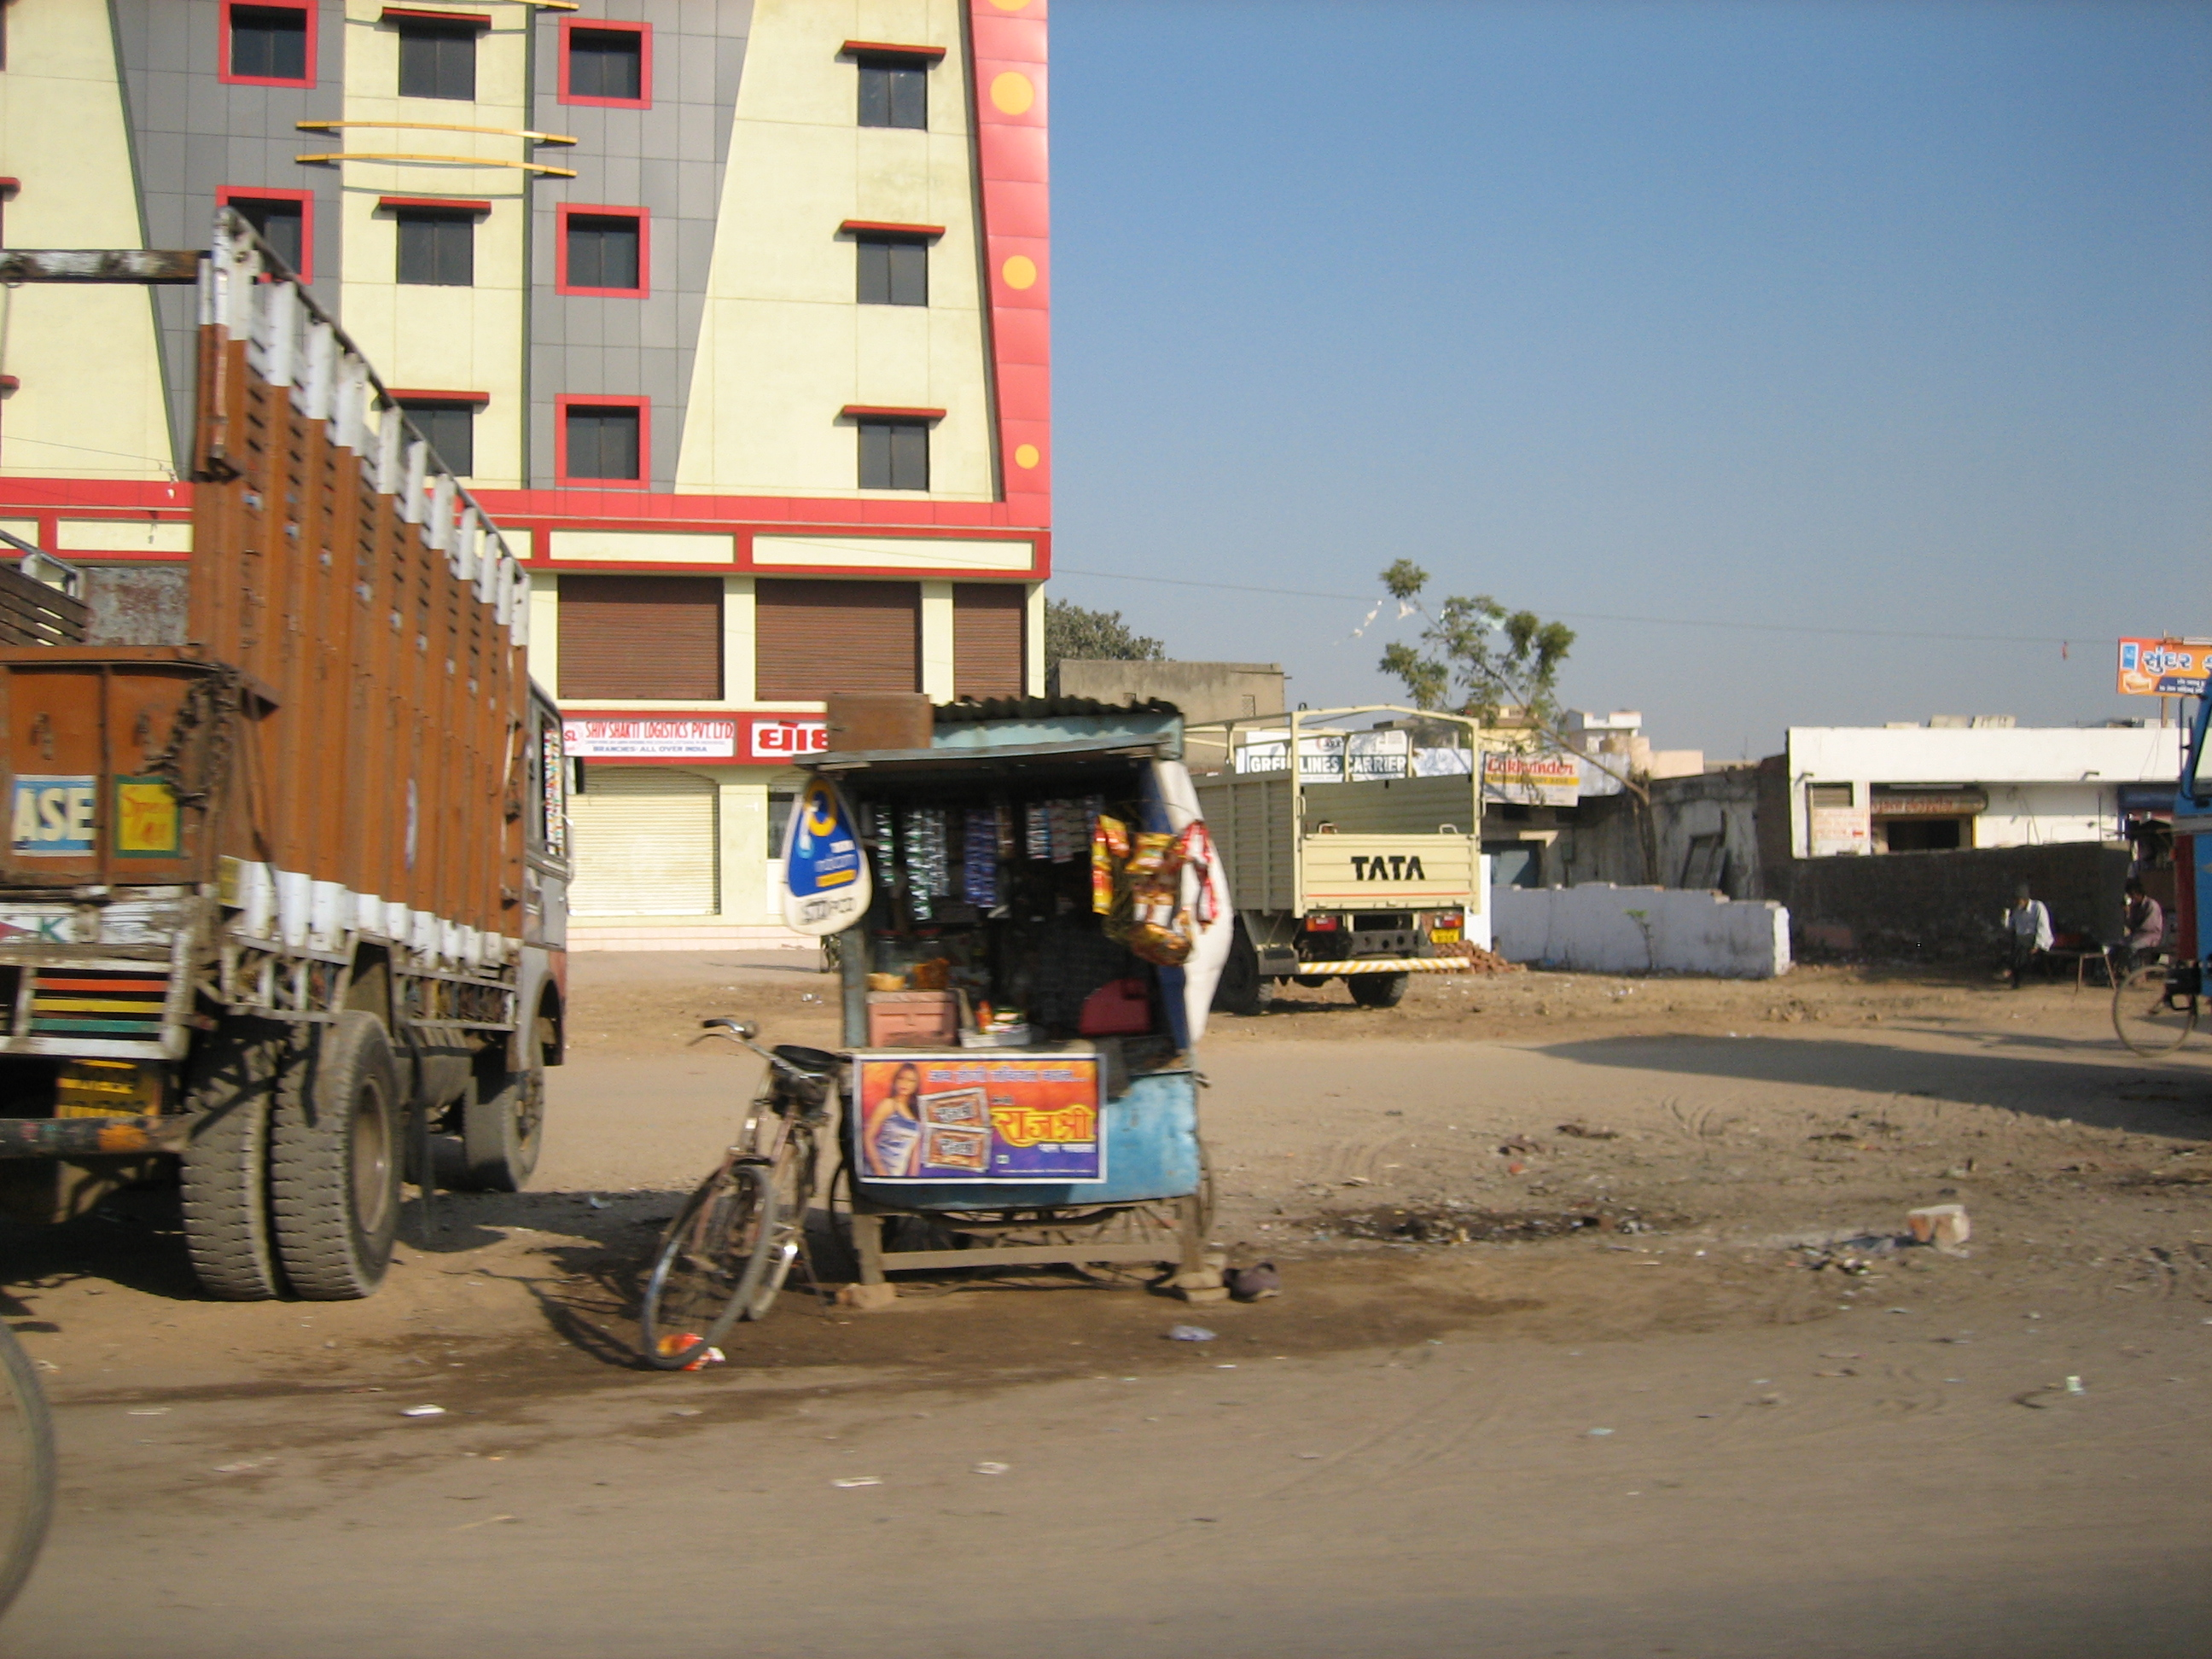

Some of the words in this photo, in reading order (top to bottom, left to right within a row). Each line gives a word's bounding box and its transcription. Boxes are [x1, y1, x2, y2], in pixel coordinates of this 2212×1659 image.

[2129, 643, 2187, 676] સુંદર
[575, 724, 727, 746] SHIV SHAKTI LOGISTICS PVT LTD.
[747, 717, 832, 755] ધોદ
[1342, 847, 1427, 886] TATA